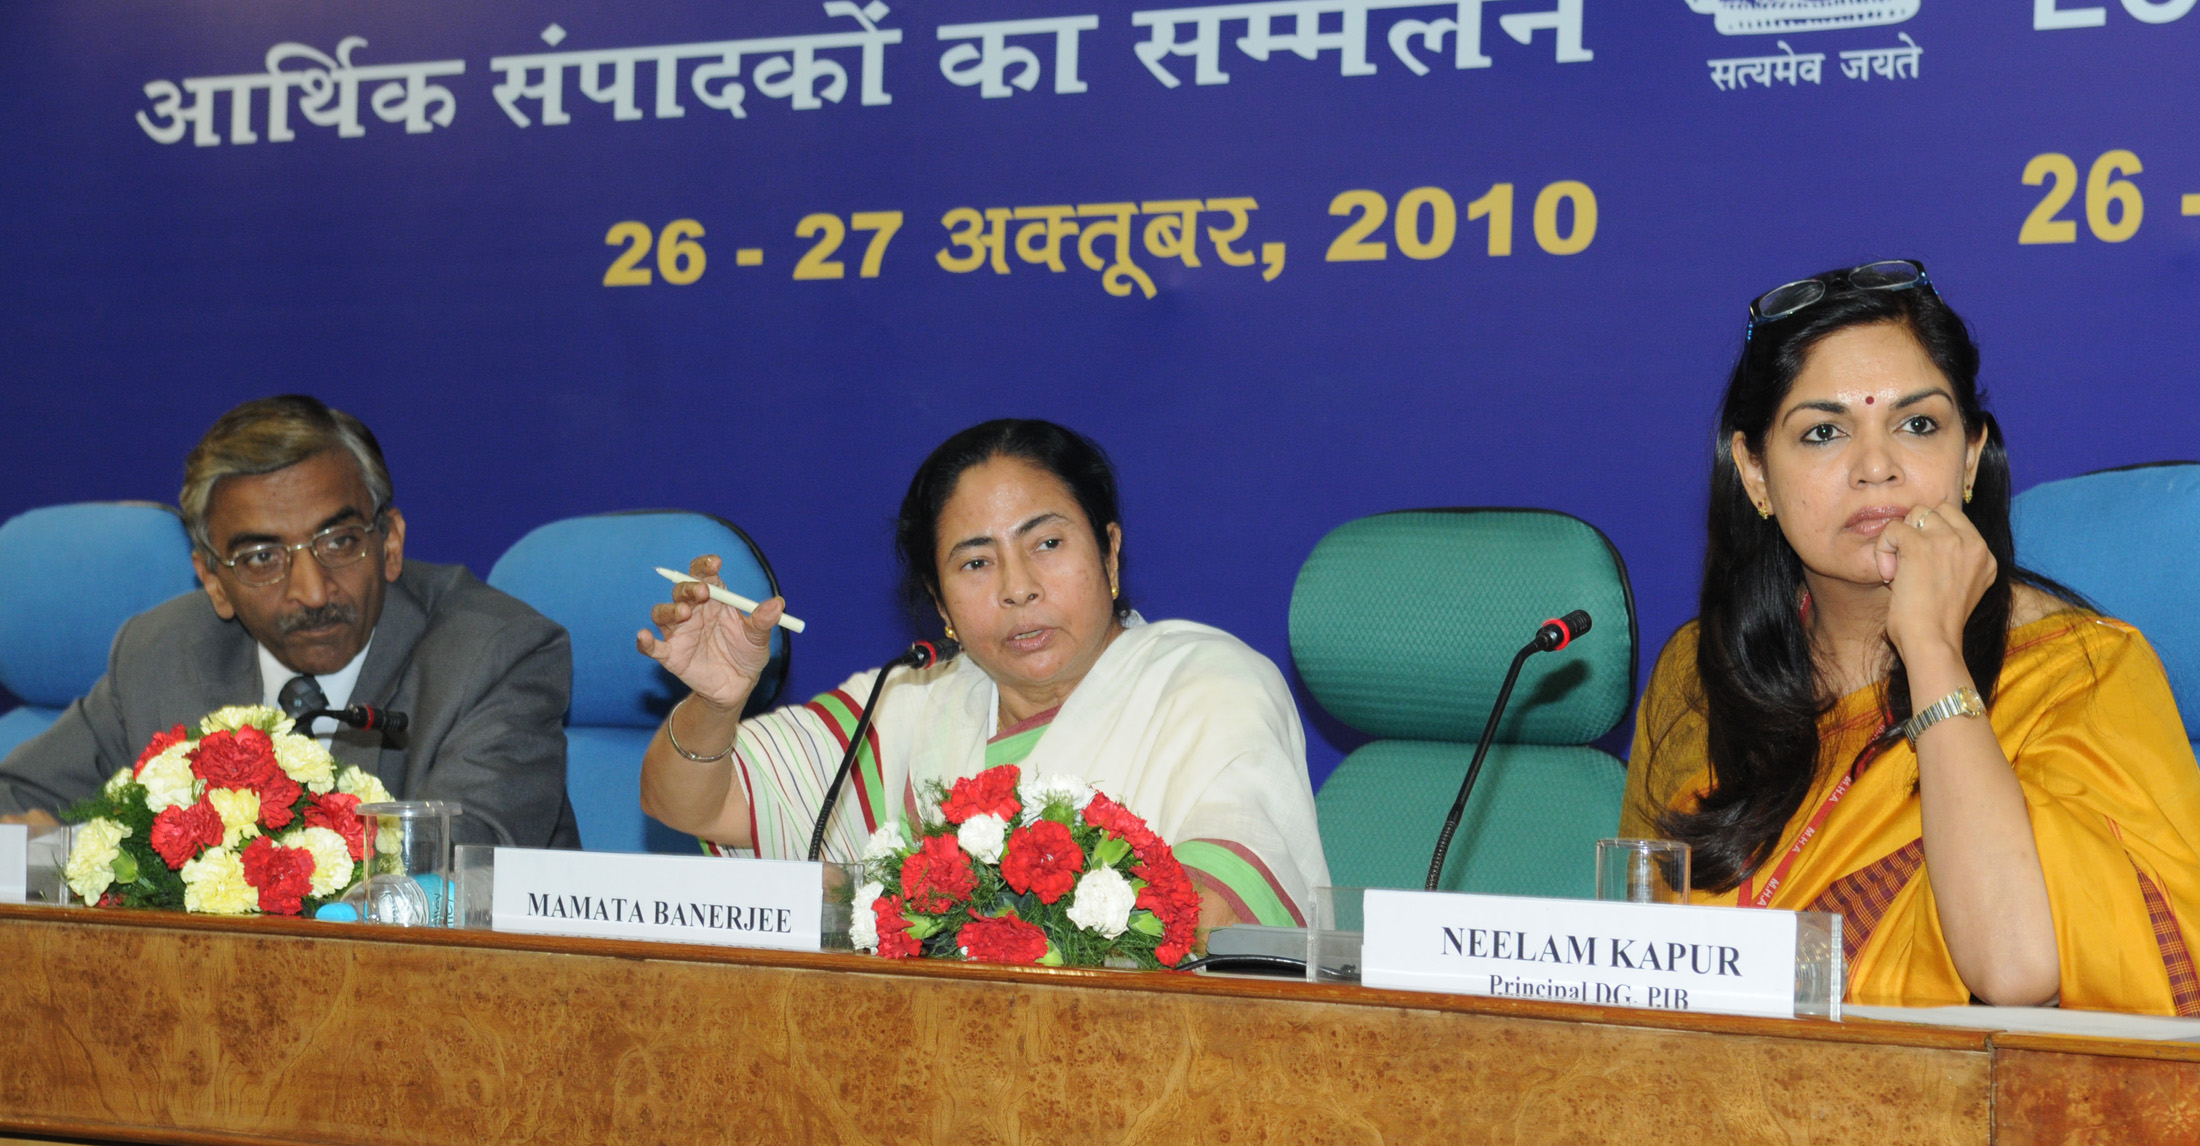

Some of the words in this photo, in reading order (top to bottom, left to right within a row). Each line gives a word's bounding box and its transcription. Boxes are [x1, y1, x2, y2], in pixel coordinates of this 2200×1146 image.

[130, 33, 472, 154] आर्थिक
[485, 2, 907, 134] संपादकों
[927, 6, 1108, 111] का
[1130, 1, 1596, 95] सम्मलन
[1705, 34, 1826, 97] सत्यमेव
[1837, 25, 1925, 86] जयते
[593, 206, 717, 297] २६
[779, 201, 914, 293] 27
[931, 188, 1263, 307] अक्तूबर
[1322, 176, 1601, 265] 2010
[2004, 134, 2156, 258] 26
[523, 888, 649, 923] MAMATA
[649, 893, 793, 937] BANERJEE
[1439, 923, 1601, 971] NEELAM
[1485, 968, 1592, 1003] Principal
[1584, 979, 1633, 1009] DG
[1642, 984, 1691, 1014] P.I.B
[1606, 933, 1745, 981] KAPUR